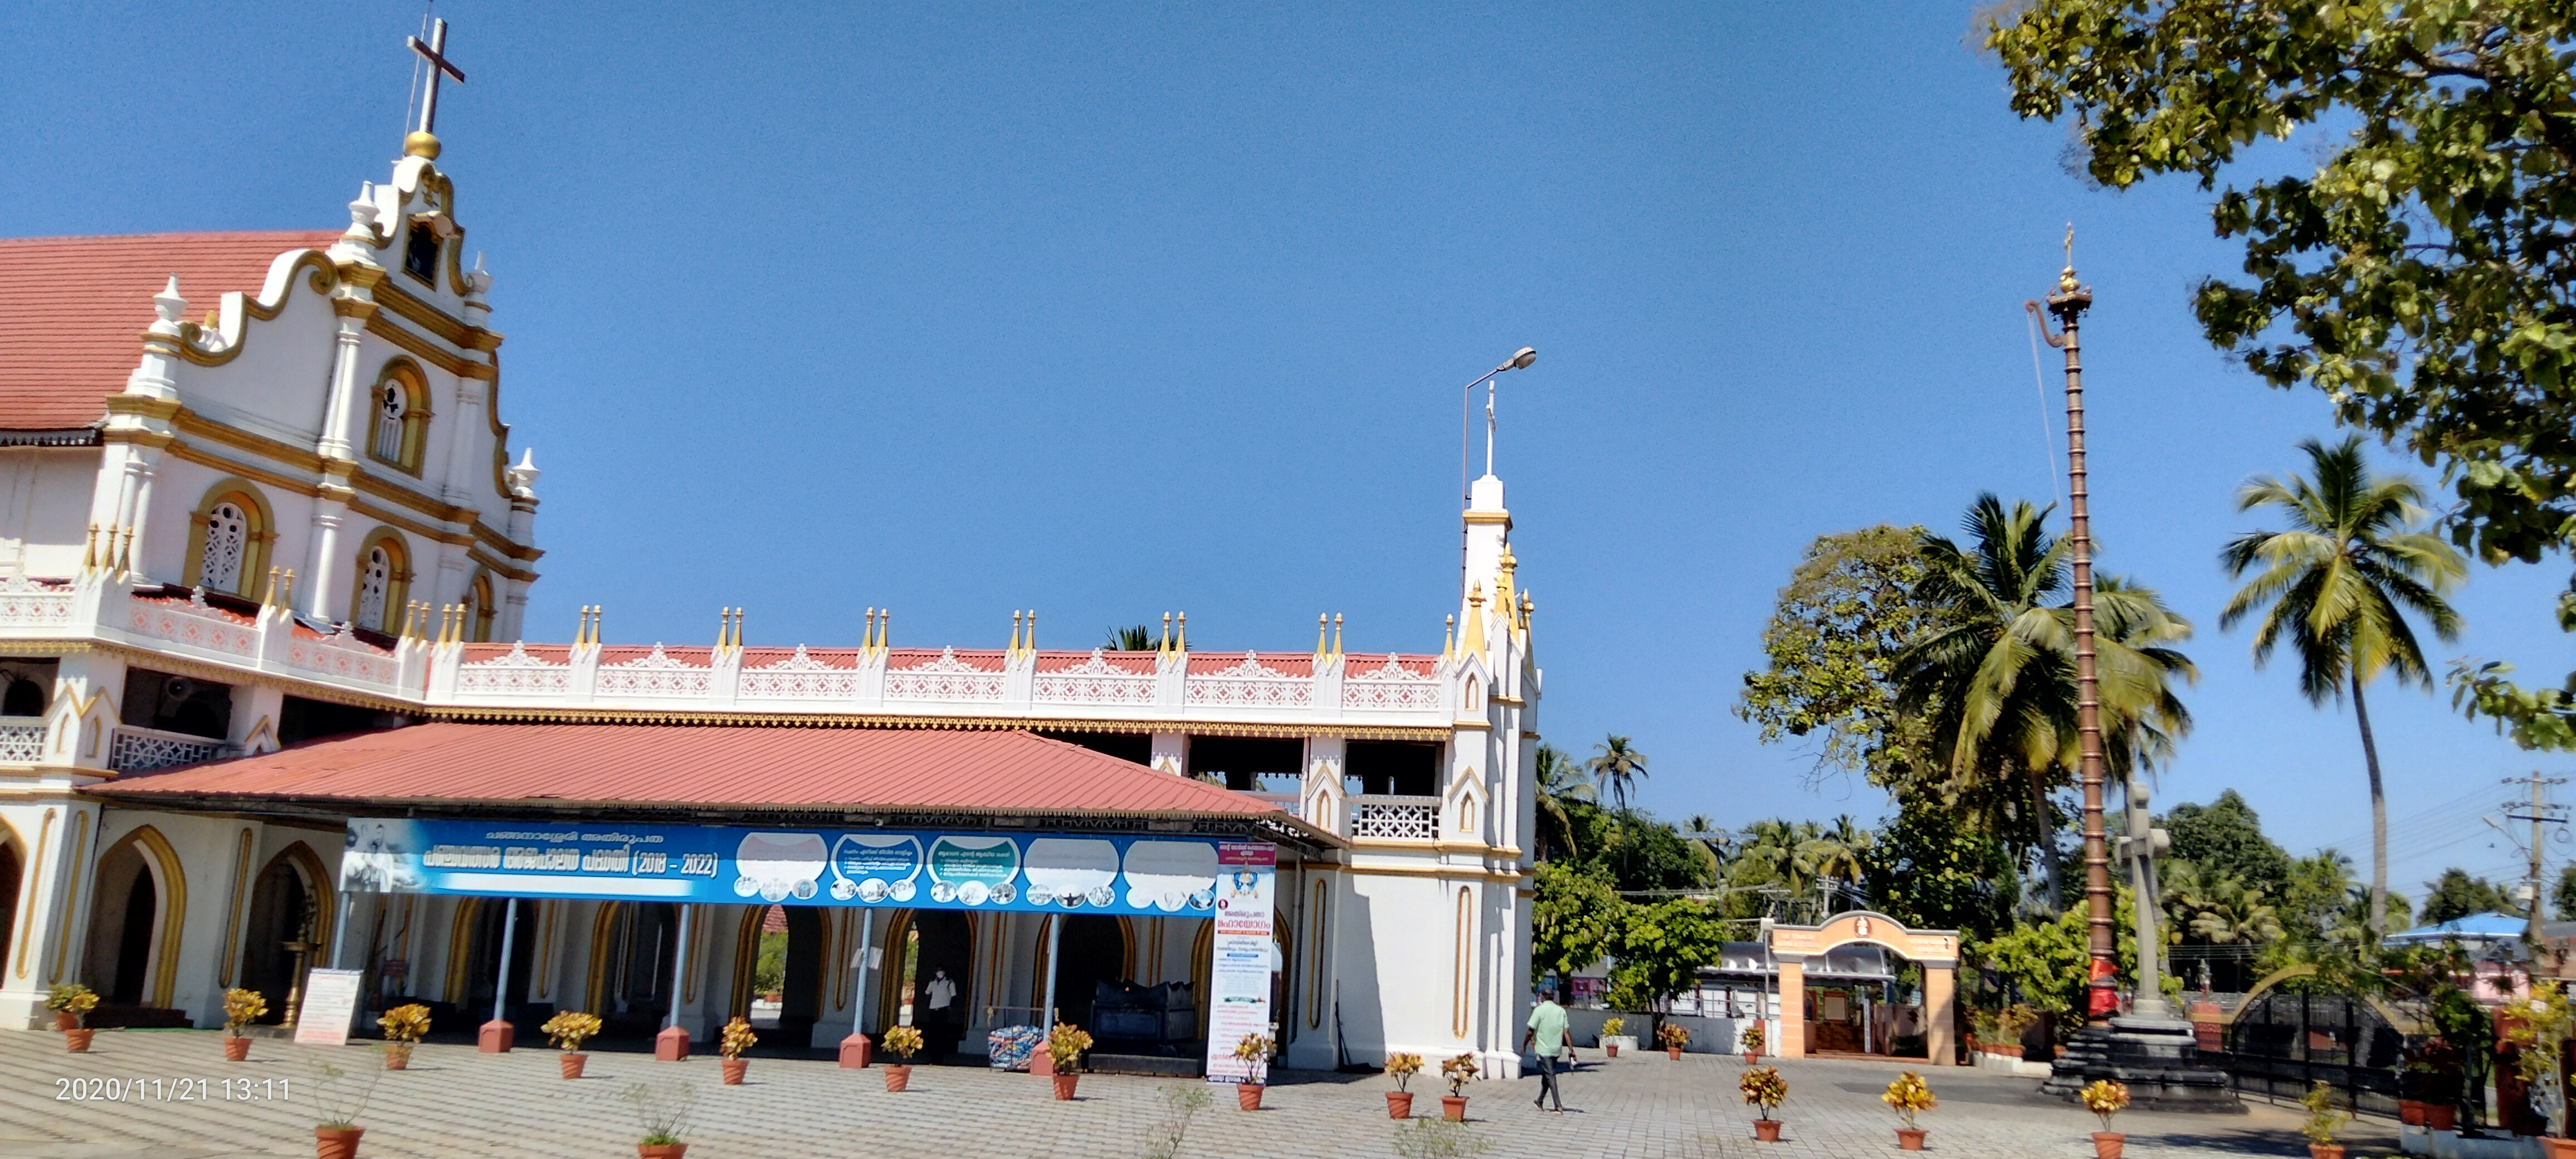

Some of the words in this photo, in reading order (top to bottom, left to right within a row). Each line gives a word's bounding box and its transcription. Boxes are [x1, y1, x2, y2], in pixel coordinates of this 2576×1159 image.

[482, 827, 580, 846] ചങ്ങനാശ്ശേരി
[579, 829, 667, 849] അതിരൂപത
[417, 839, 503, 872] പഞ്ചവത്സര
[499, 842, 584, 874] അജപാലന
[578, 844, 631, 876] പദ്ധതി
[635, 849, 716, 876] 2018-2022
[1215, 917, 1275, 933] മഹായോഗം
[50, 1068, 211, 1104] 2020/11/21
[218, 1069, 294, 1107] 13:11